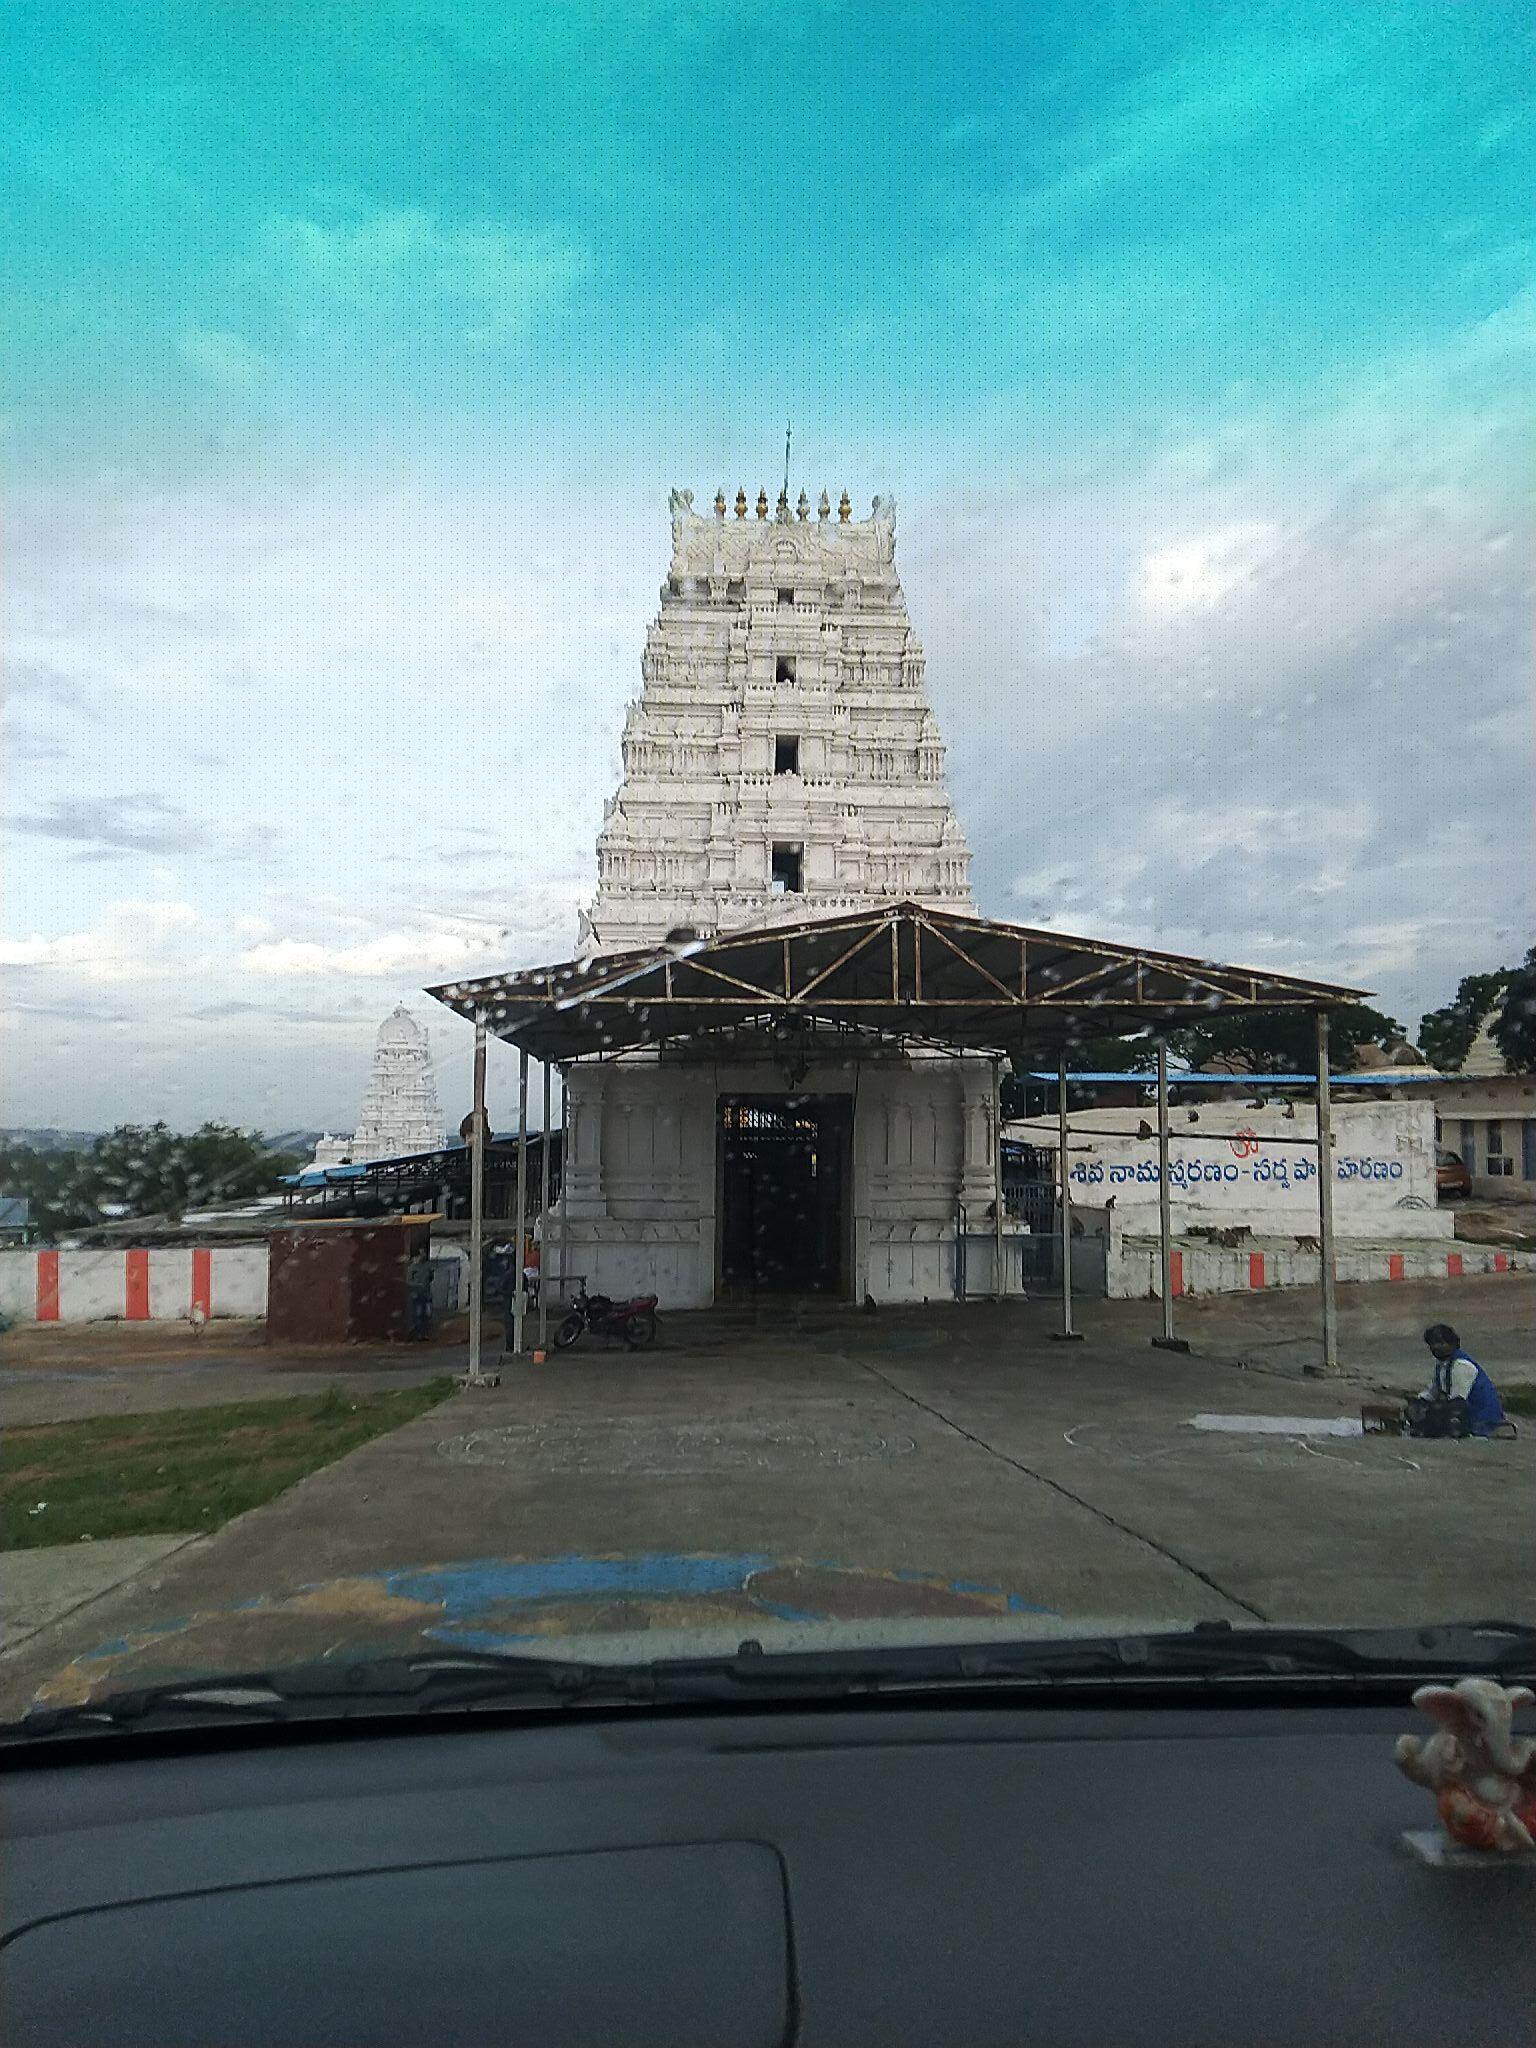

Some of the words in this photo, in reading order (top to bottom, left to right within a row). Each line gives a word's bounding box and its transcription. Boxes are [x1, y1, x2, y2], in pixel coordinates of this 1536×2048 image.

[1067, 1152, 1109, 1193] శివ
[1106, 1153, 1244, 1191] నామస్మరణం
[1249, 1152, 1319, 1196] సర్వపా
[1333, 1148, 1405, 1185] హరణం